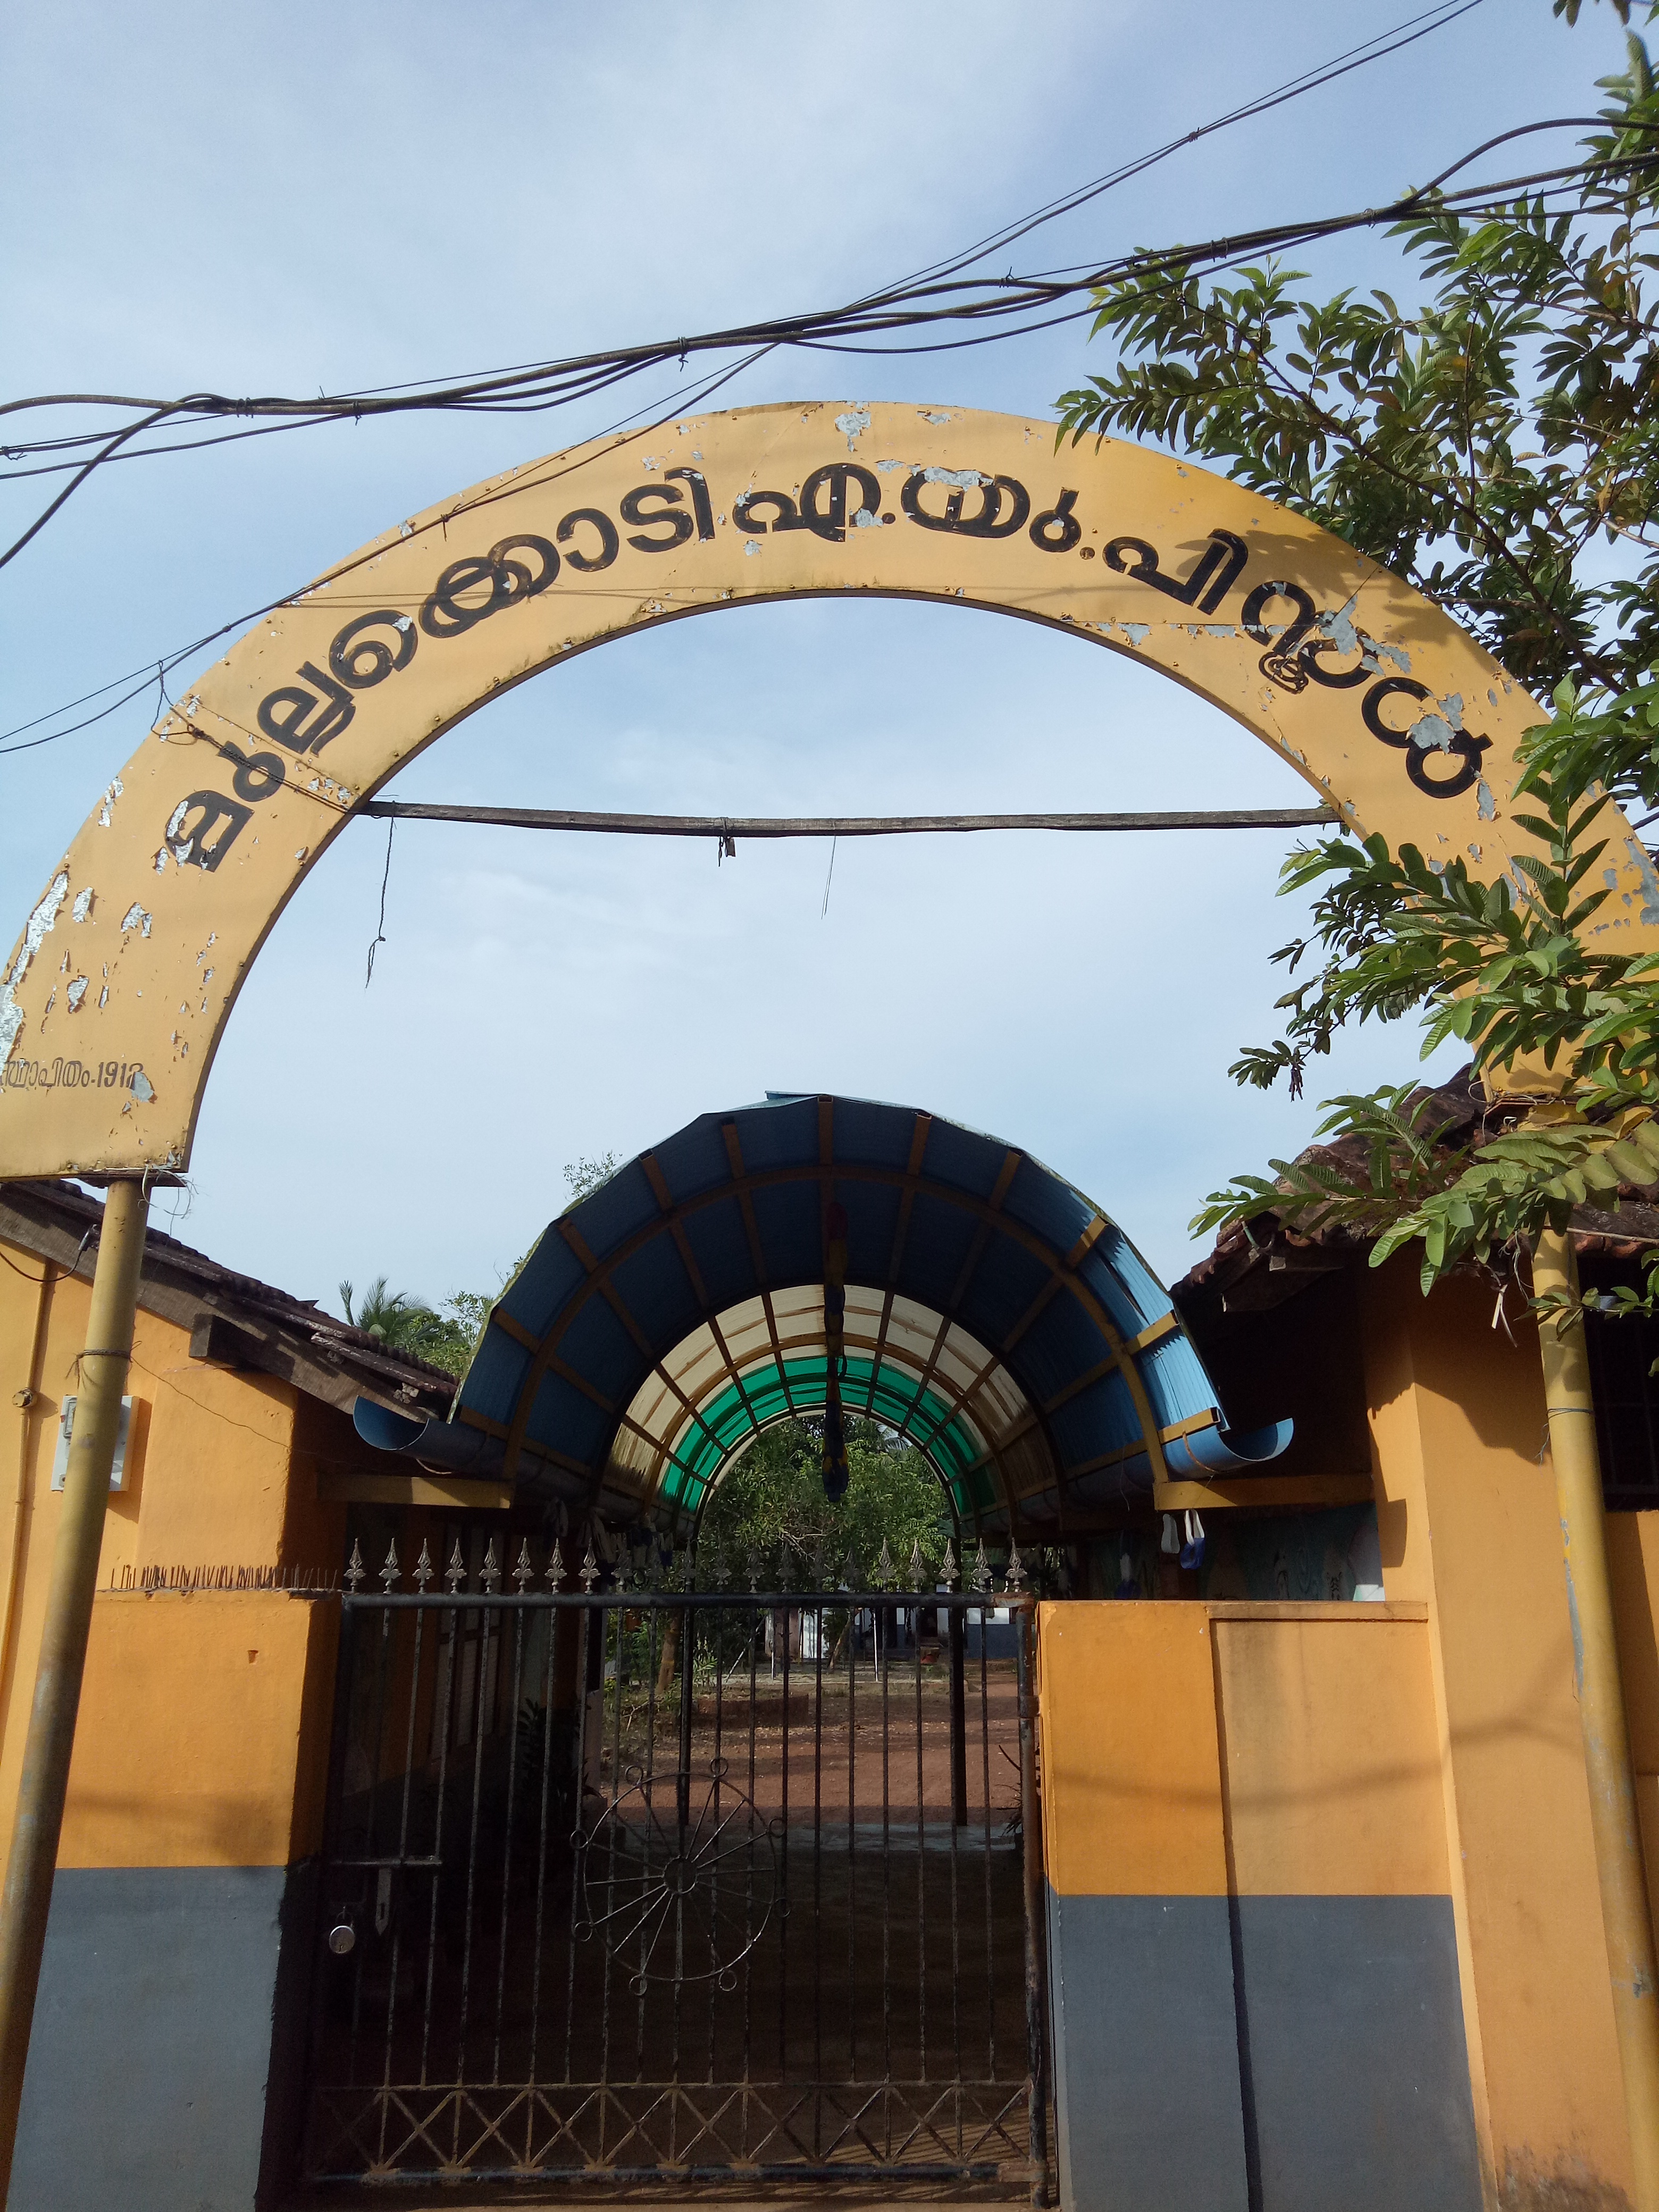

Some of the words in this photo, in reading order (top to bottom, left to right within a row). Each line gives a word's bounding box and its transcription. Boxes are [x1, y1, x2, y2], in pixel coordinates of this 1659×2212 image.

[725, 453, 1101, 564] എ.യു.
[148, 458, 719, 877] മുല്ലക്കൊടി
[1095, 519, 1494, 801] പിസ്കൂൾ
[1, 1052, 148, 1091] സ്ഥാപിതം-1912